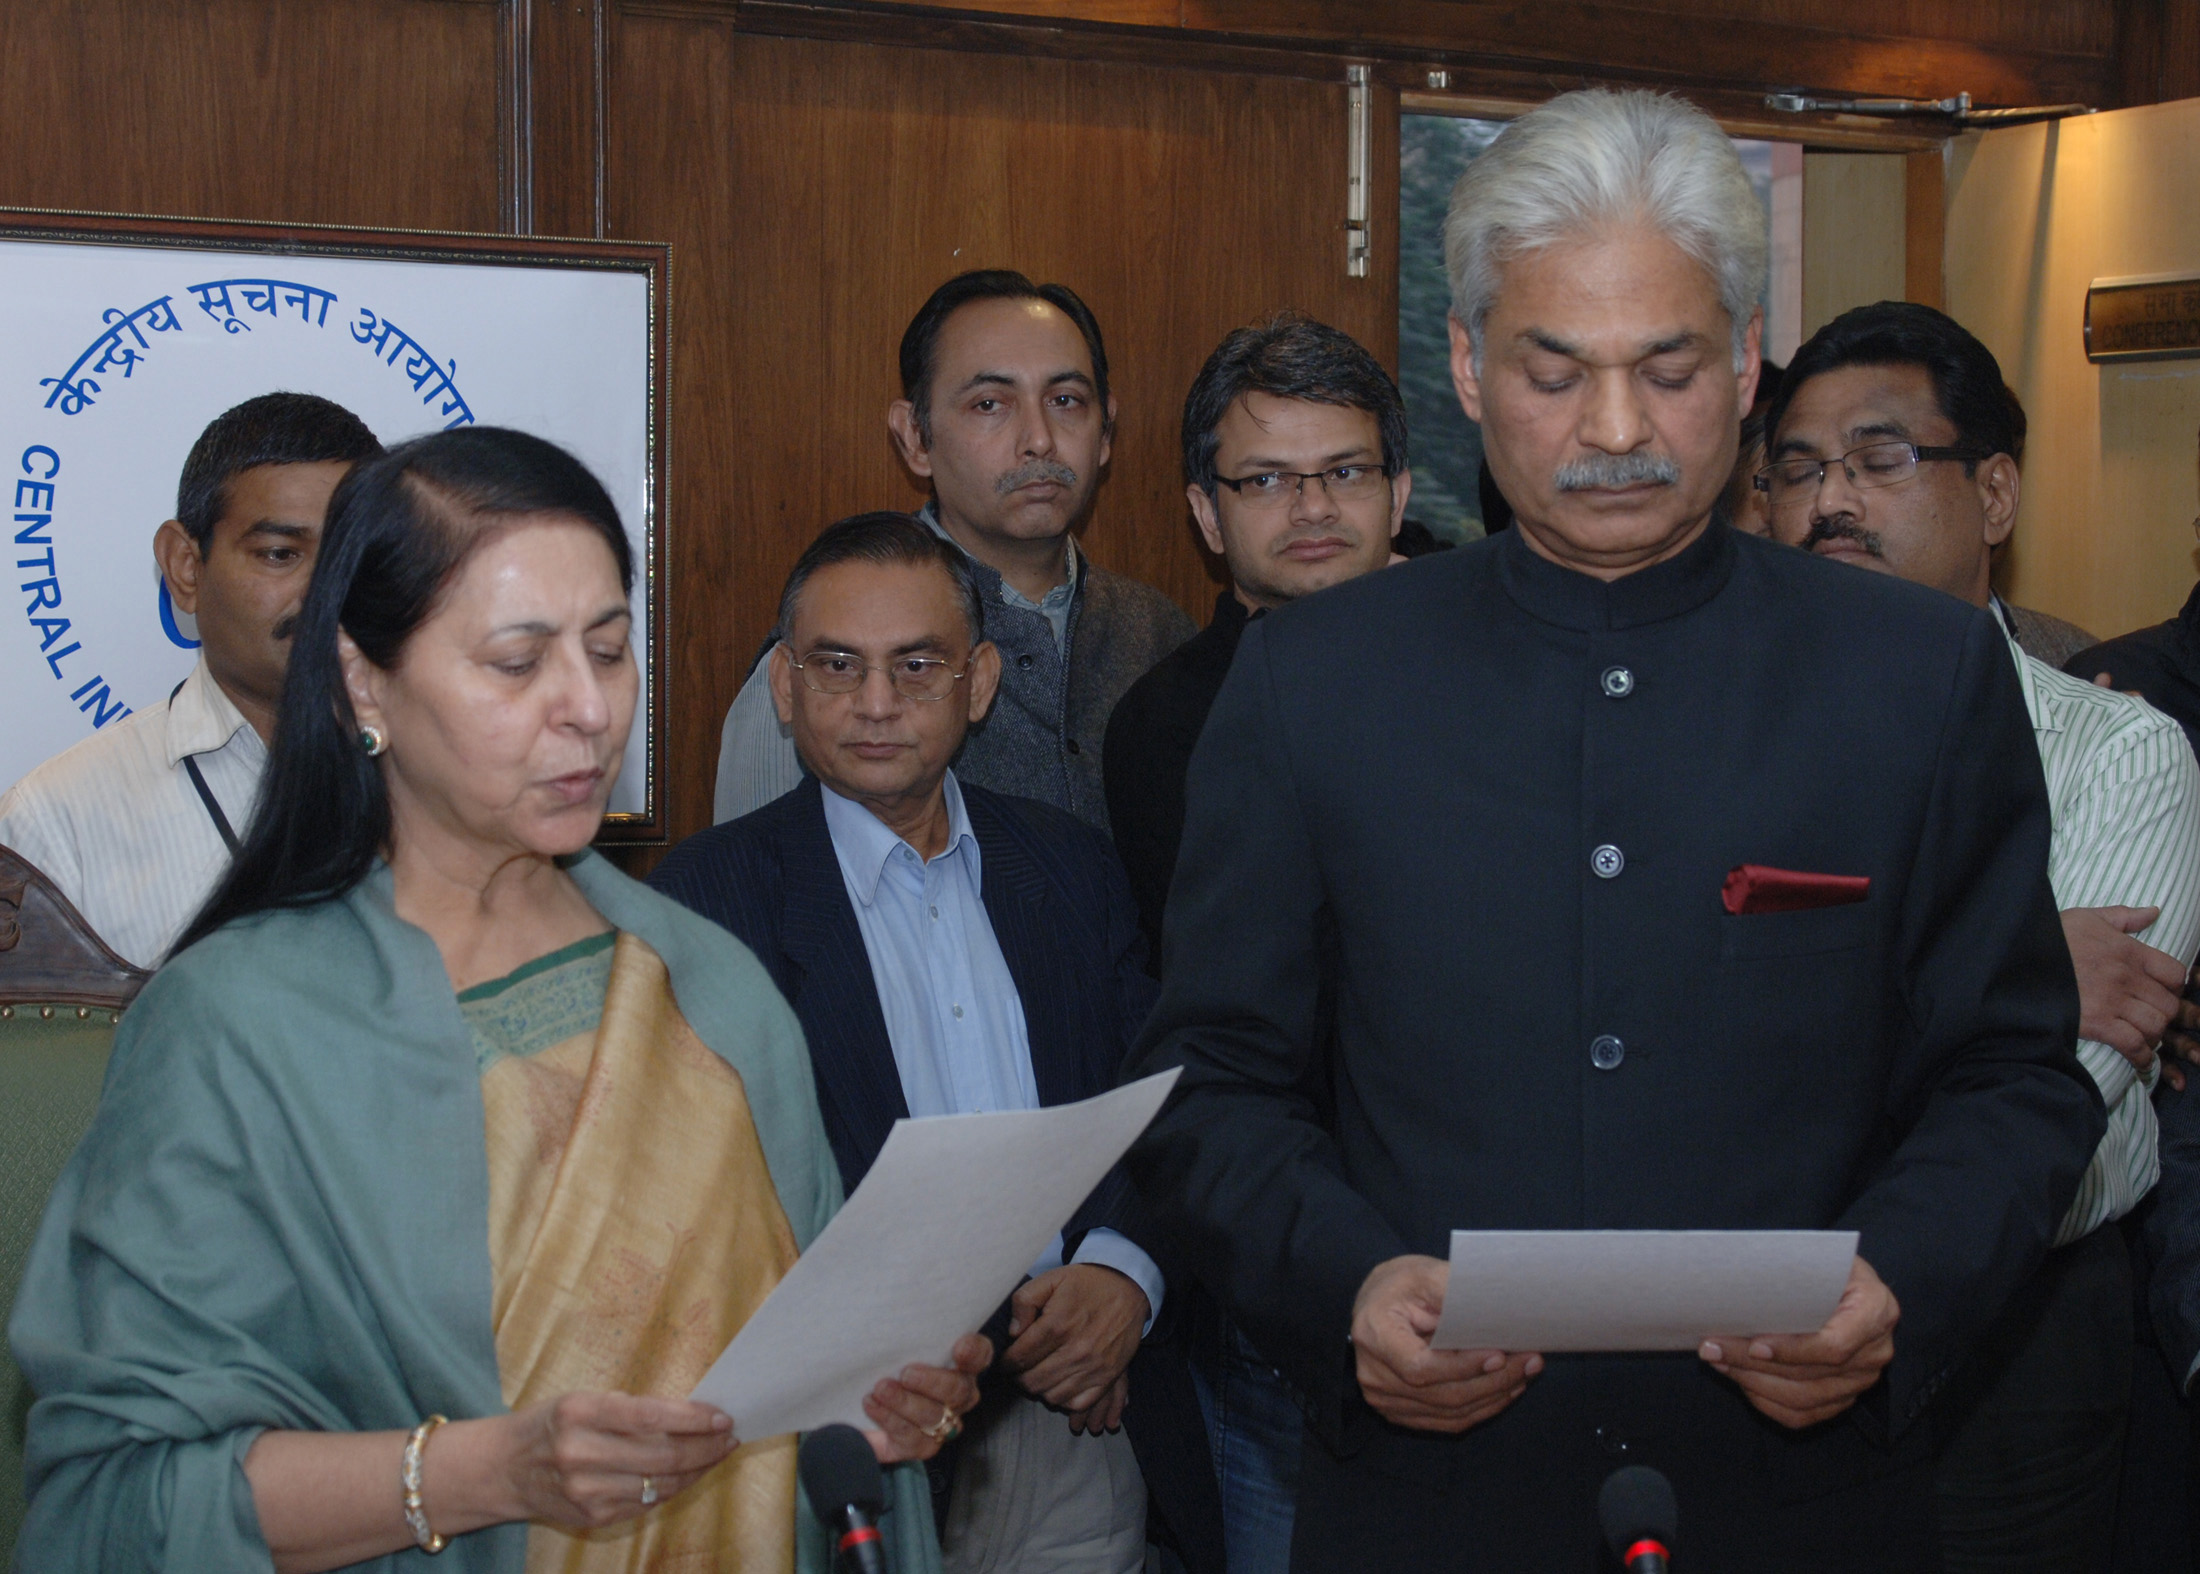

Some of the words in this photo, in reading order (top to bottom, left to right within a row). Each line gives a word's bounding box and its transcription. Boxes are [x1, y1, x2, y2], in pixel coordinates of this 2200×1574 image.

[33, 289, 186, 423] केन्द्रीय
[186, 279, 340, 340] सूचना
[344, 303, 478, 431] आयोग
[10, 440, 90, 684] CENTRAL
[67, 672, 129, 734] IN